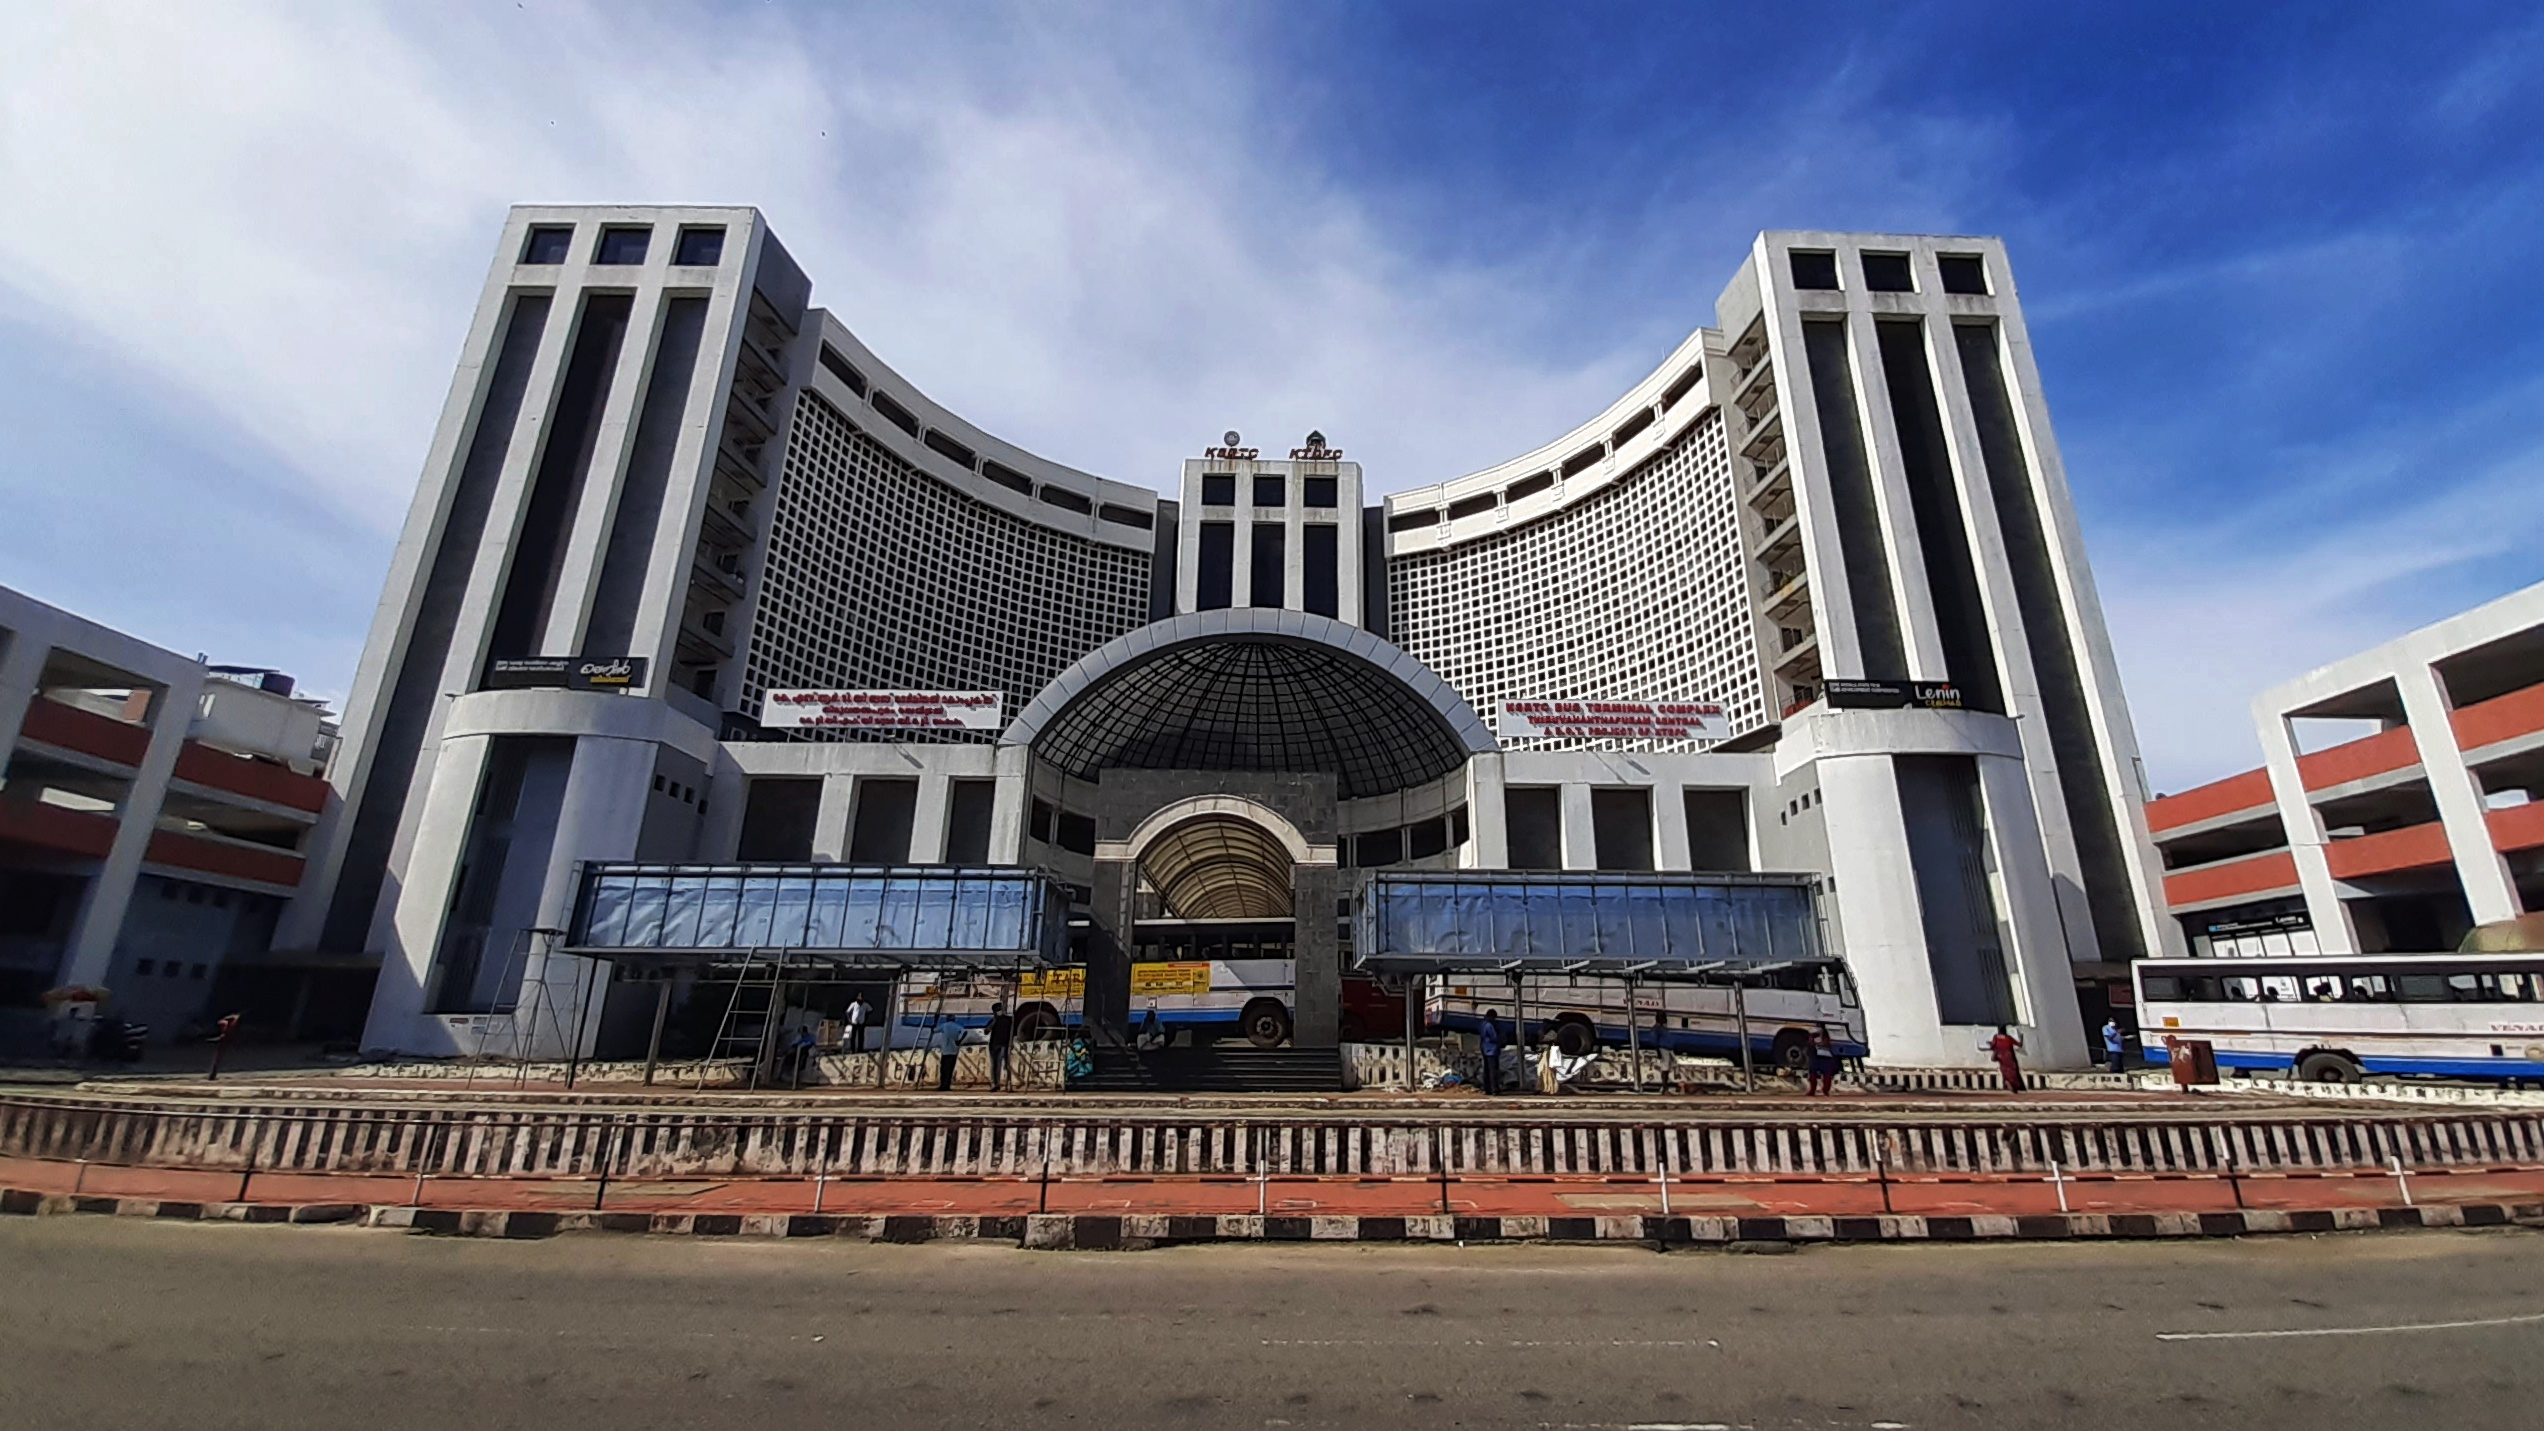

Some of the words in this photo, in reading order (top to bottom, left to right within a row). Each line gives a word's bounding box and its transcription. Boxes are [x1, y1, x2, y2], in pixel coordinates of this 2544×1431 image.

[1913, 681, 1965, 707] Lenin CINEMAS
[1501, 699, 1554, 717] KSRTC
[1541, 720, 1588, 740] A B.O.T.
[1552, 698, 1586, 717] BUS
[1525, 711, 1654, 727] THIRUVANANTHAPURAM
[1585, 720, 1637, 739] PROJECT
[1582, 699, 1659, 717] TERMINAL
[1653, 723, 1693, 740] KTDFC
[1651, 714, 1705, 728] CENTRAL
[1653, 701, 1725, 719] COMPLEX